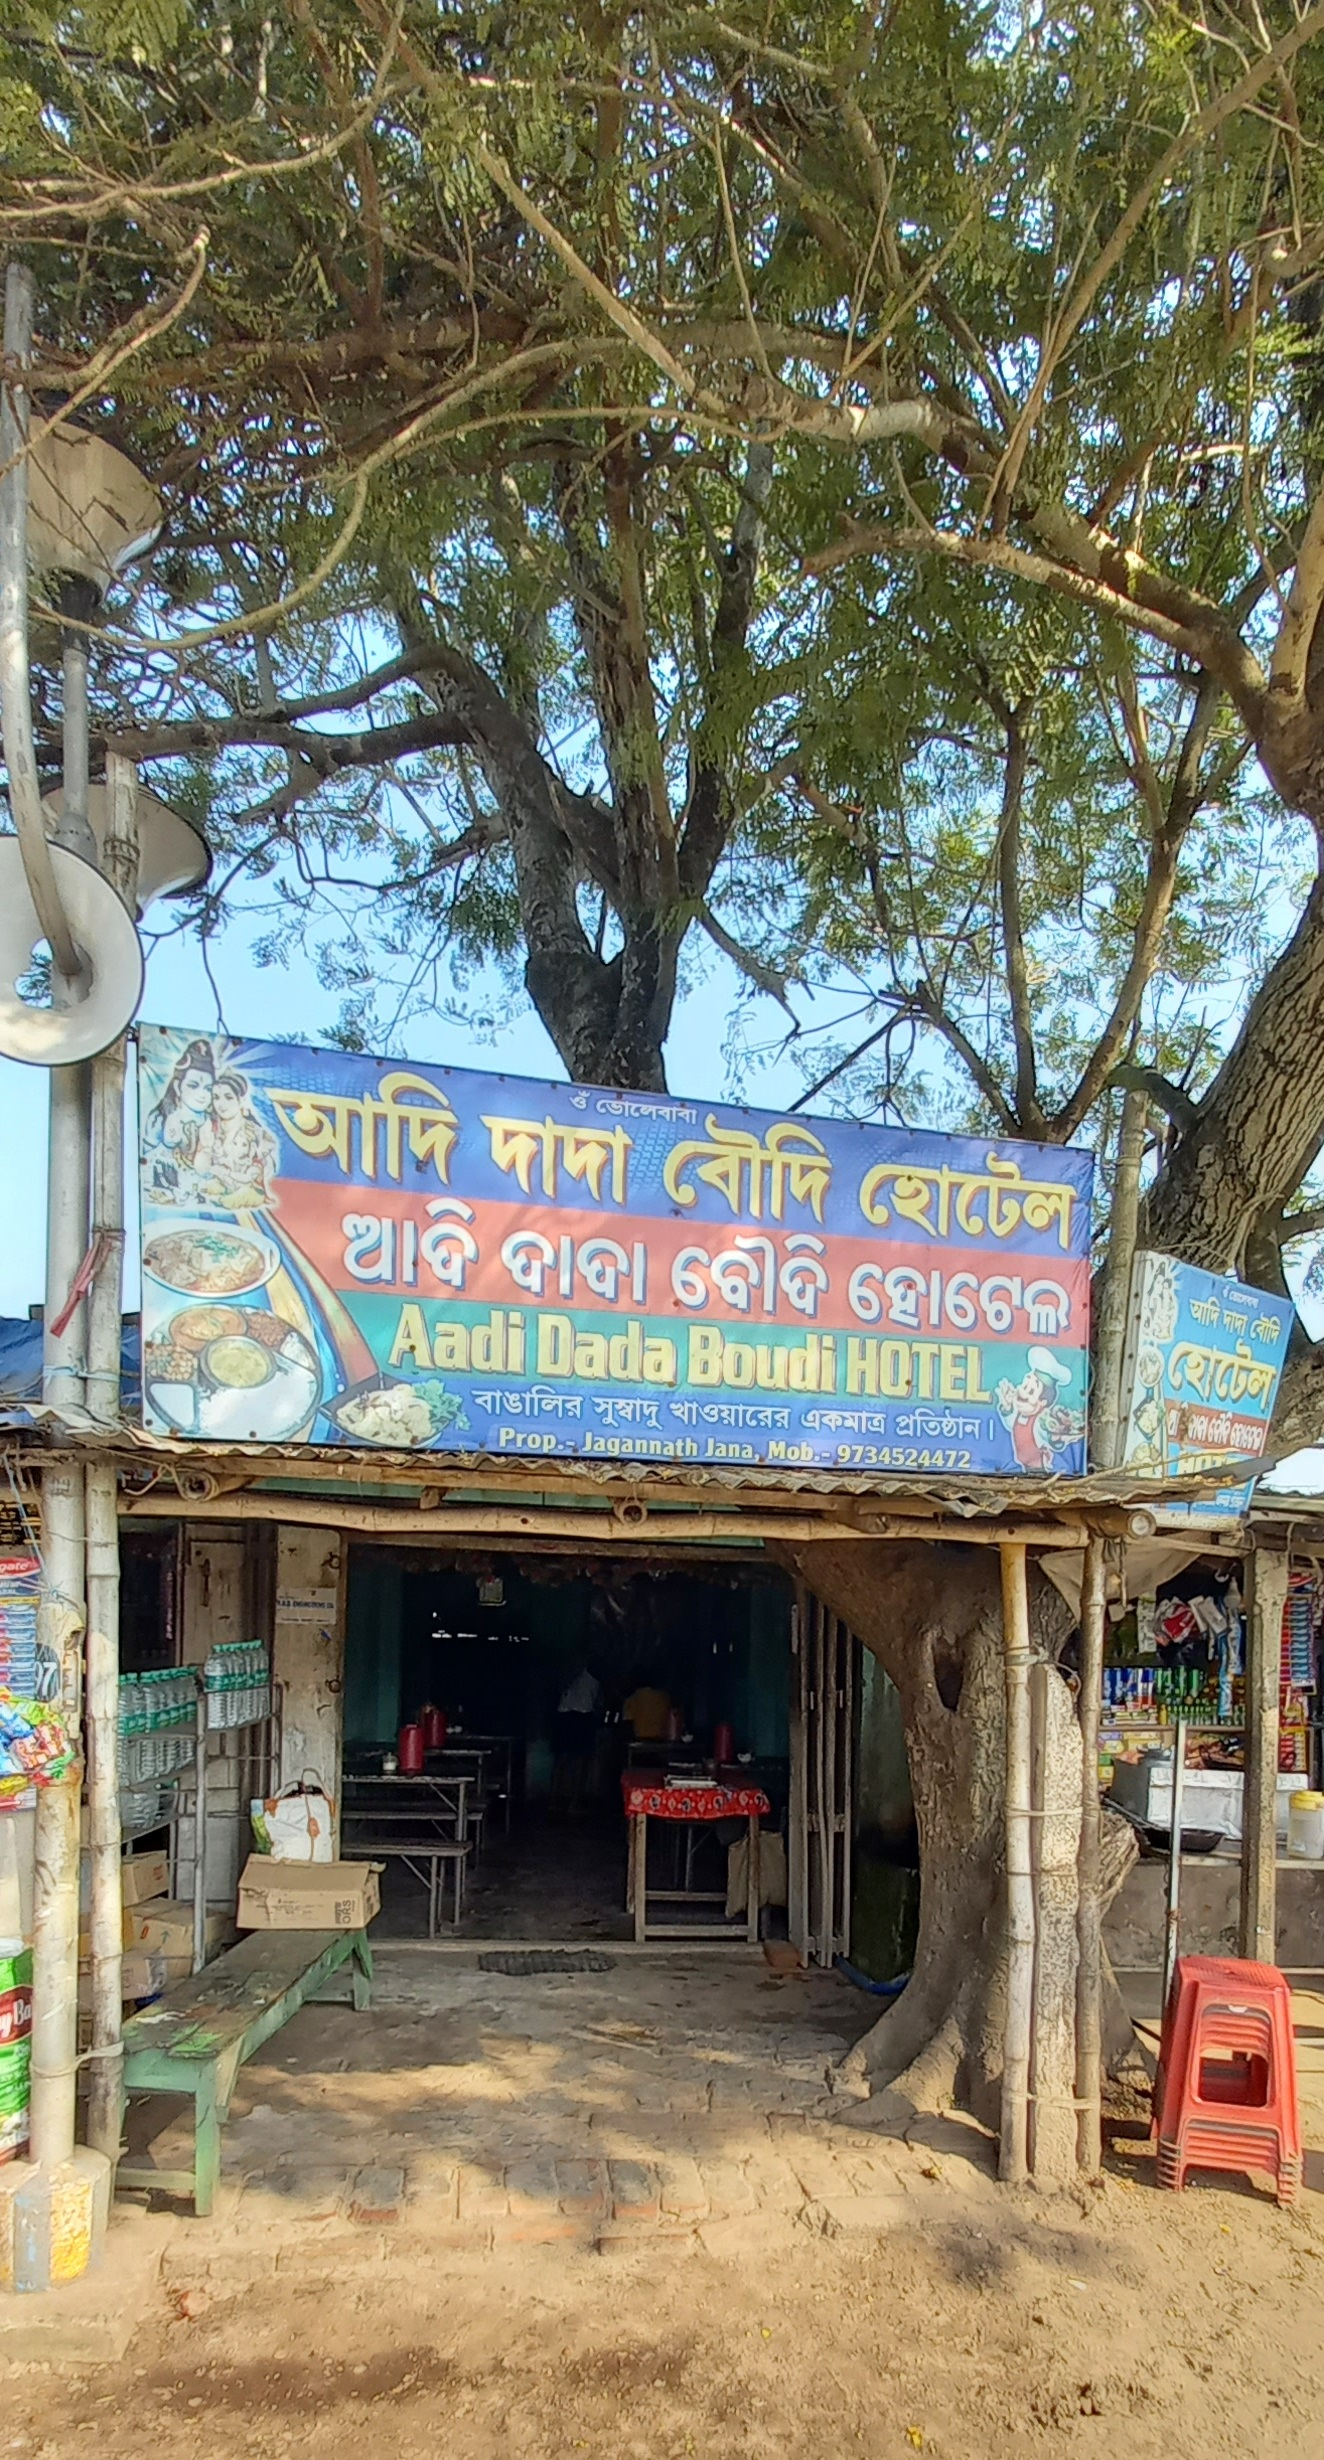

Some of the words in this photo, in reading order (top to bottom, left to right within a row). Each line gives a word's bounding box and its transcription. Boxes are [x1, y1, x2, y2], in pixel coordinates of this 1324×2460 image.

[261, 1063, 466, 1188] আদি
[562, 1081, 597, 1113] ଓଁ
[592, 1094, 704, 1130] ভোলেবাবা
[473, 1110, 643, 1204] দাদা
[651, 1105, 839, 1227] বৌদি
[855, 1145, 1078, 1252] হোটেল
[334, 1182, 484, 1295] ଆଦି
[380, 1298, 541, 1378] Aadi
[491, 1223, 653, 1312] ଦାଦା
[529, 1308, 683, 1394] Dada
[662, 1225, 836, 1327] ବୌଦି
[683, 1319, 842, 1401] Boudi
[841, 1331, 1002, 1409] HOTEL
[844, 1260, 1077, 1341] ହୋଟେଲ
[1185, 1293, 1227, 1332] আদি
[1160, 1332, 1283, 1412] হোটেল
[1212, 1307, 1255, 1340] দাদা
[1246, 1301, 1286, 1344] বৌদি
[491, 1425, 566, 1458] Prop.
[472, 1377, 588, 1427] বাঙালির
[587, 1393, 664, 1435] সুস্বাদু
[576, 1426, 703, 1461] Jagannath
[699, 1432, 755, 1466] Jana
[663, 1397, 796, 1434] খাওয়ারের
[755, 1438, 824, 1466] Mob.
[795, 1408, 888, 1441] একমাত্র
[831, 1438, 974, 1475] 9734524472
[885, 1402, 986, 1448] প্রতিষ্ঠান